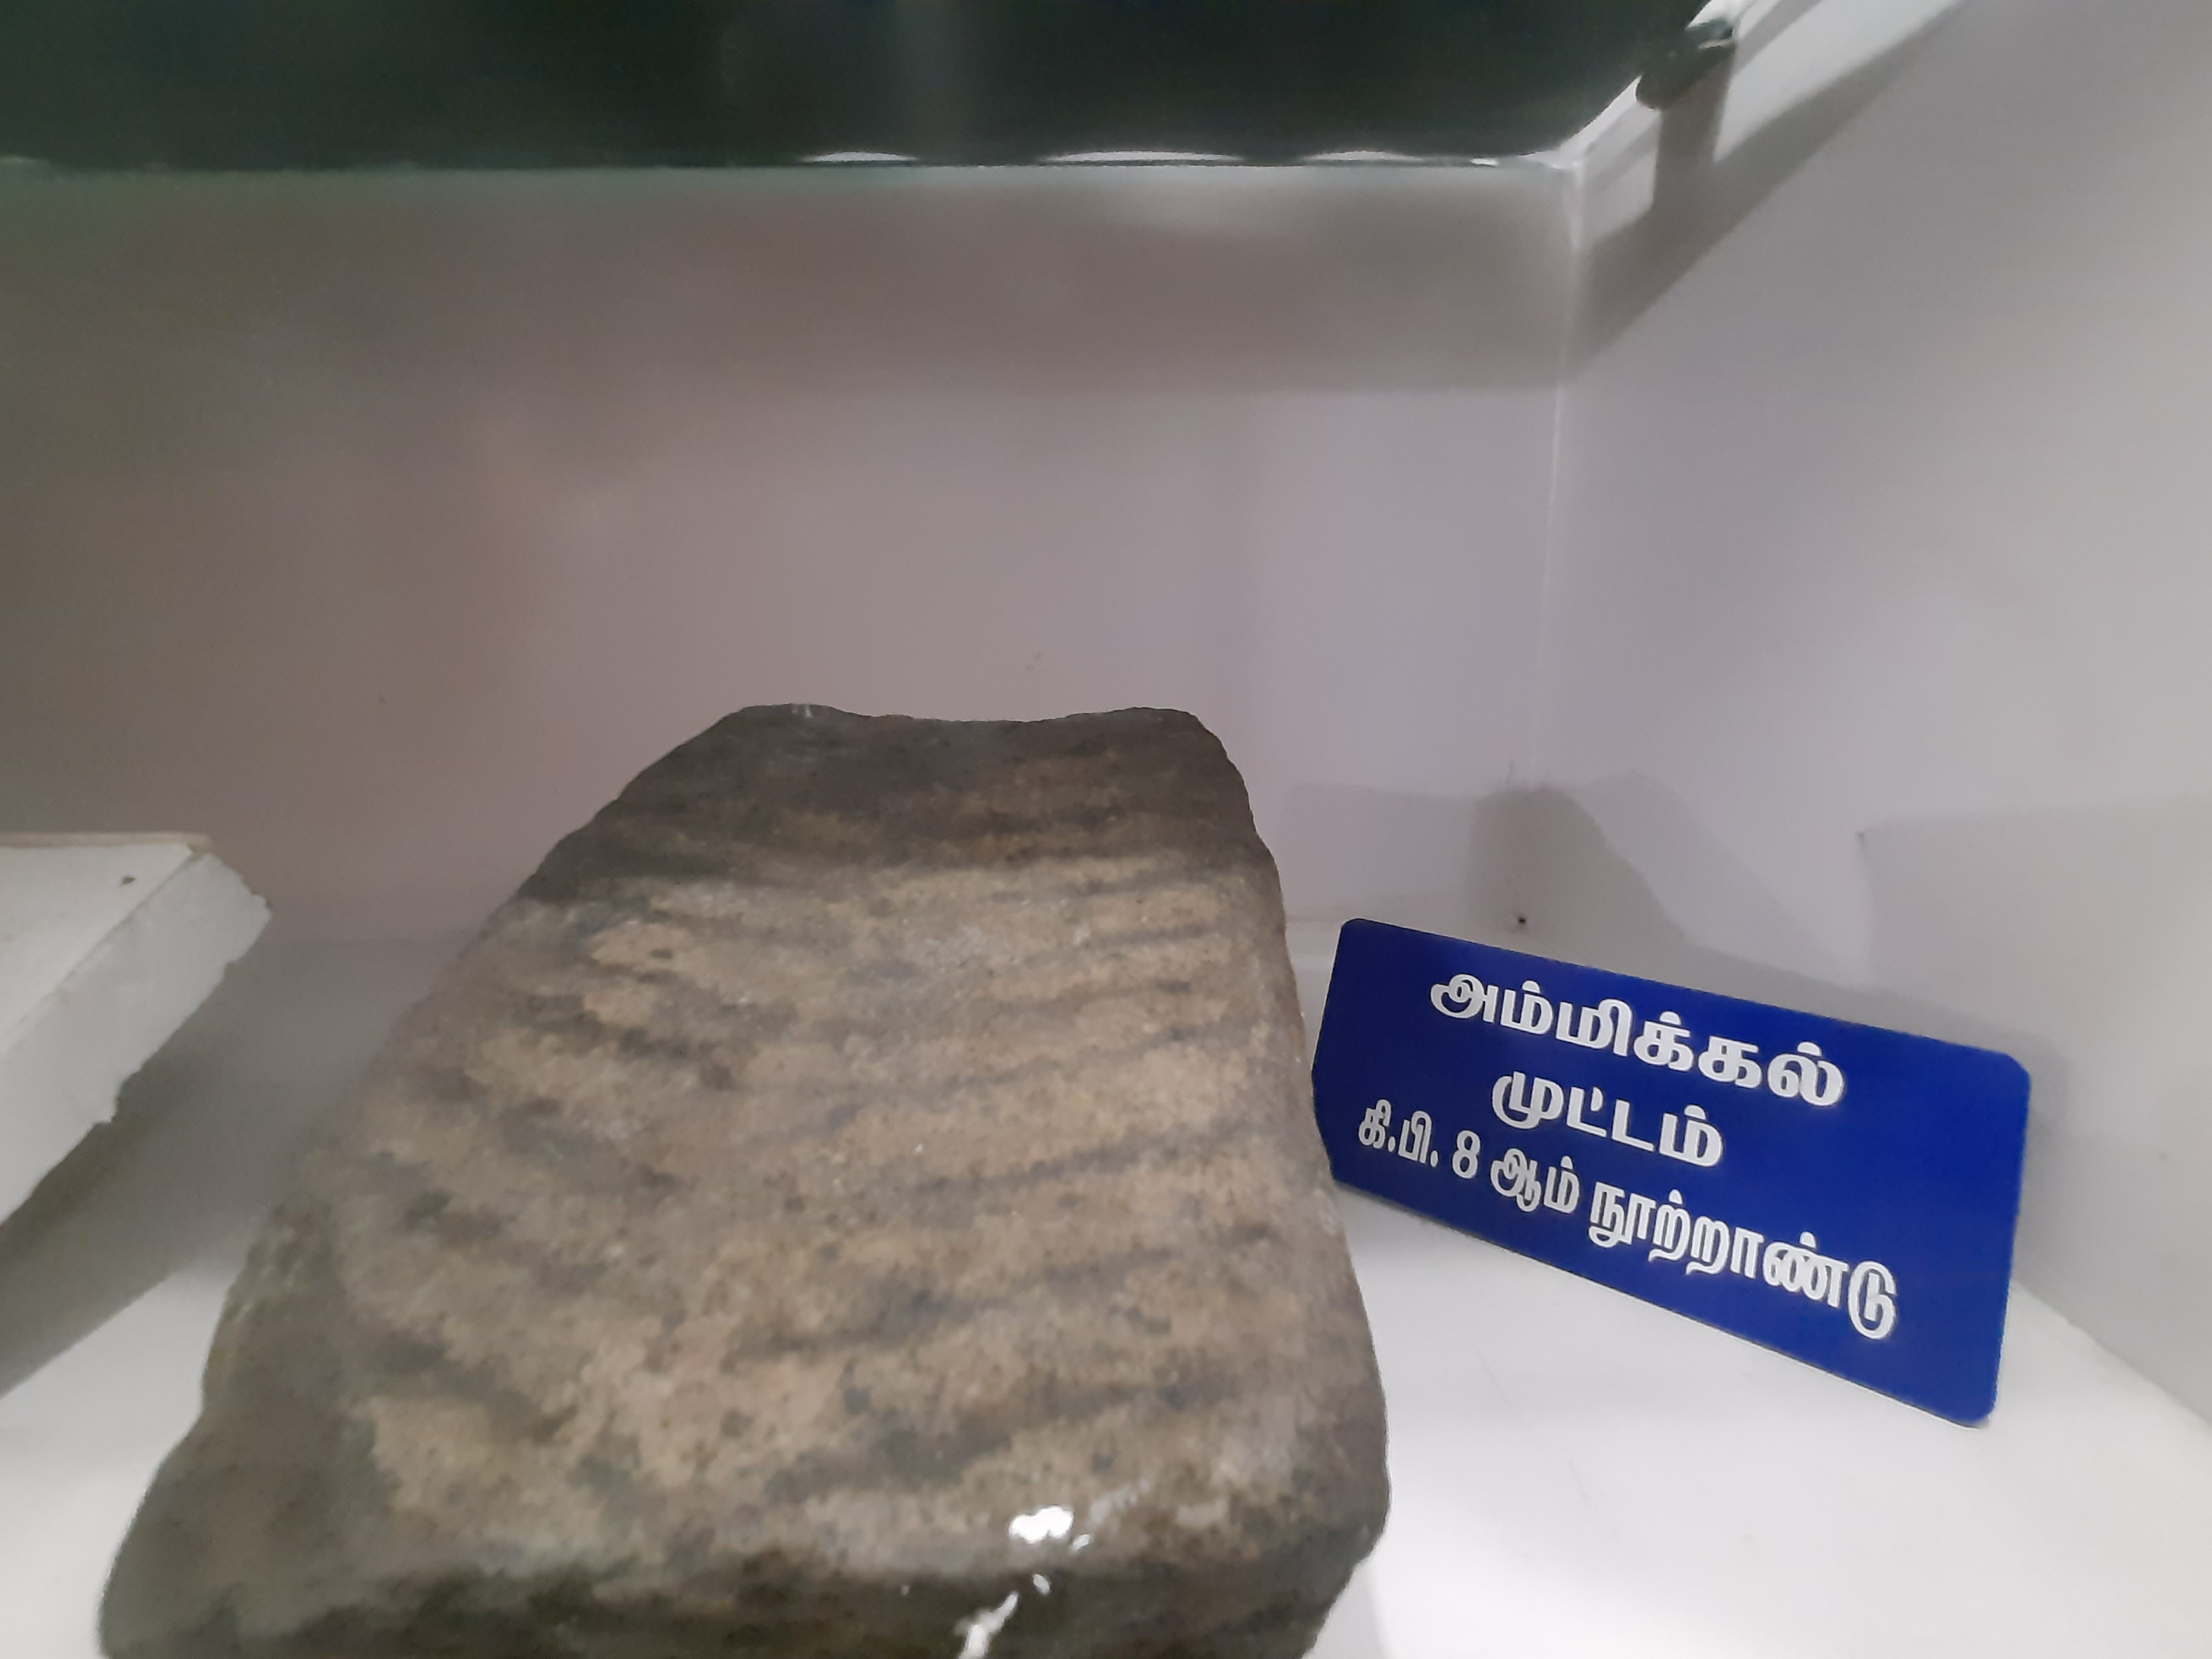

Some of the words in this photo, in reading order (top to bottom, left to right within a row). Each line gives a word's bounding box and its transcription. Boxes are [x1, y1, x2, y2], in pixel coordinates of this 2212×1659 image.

[1427, 969, 1847, 1111] அம்மிக்கல்
[1352, 1092, 1484, 1185] கி.பி. 8
[1482, 1144, 1586, 1219] ஆம்
[1487, 1062, 1726, 1174] முட்டம்
[1578, 1178, 1900, 1343] நூற்றாண்டு